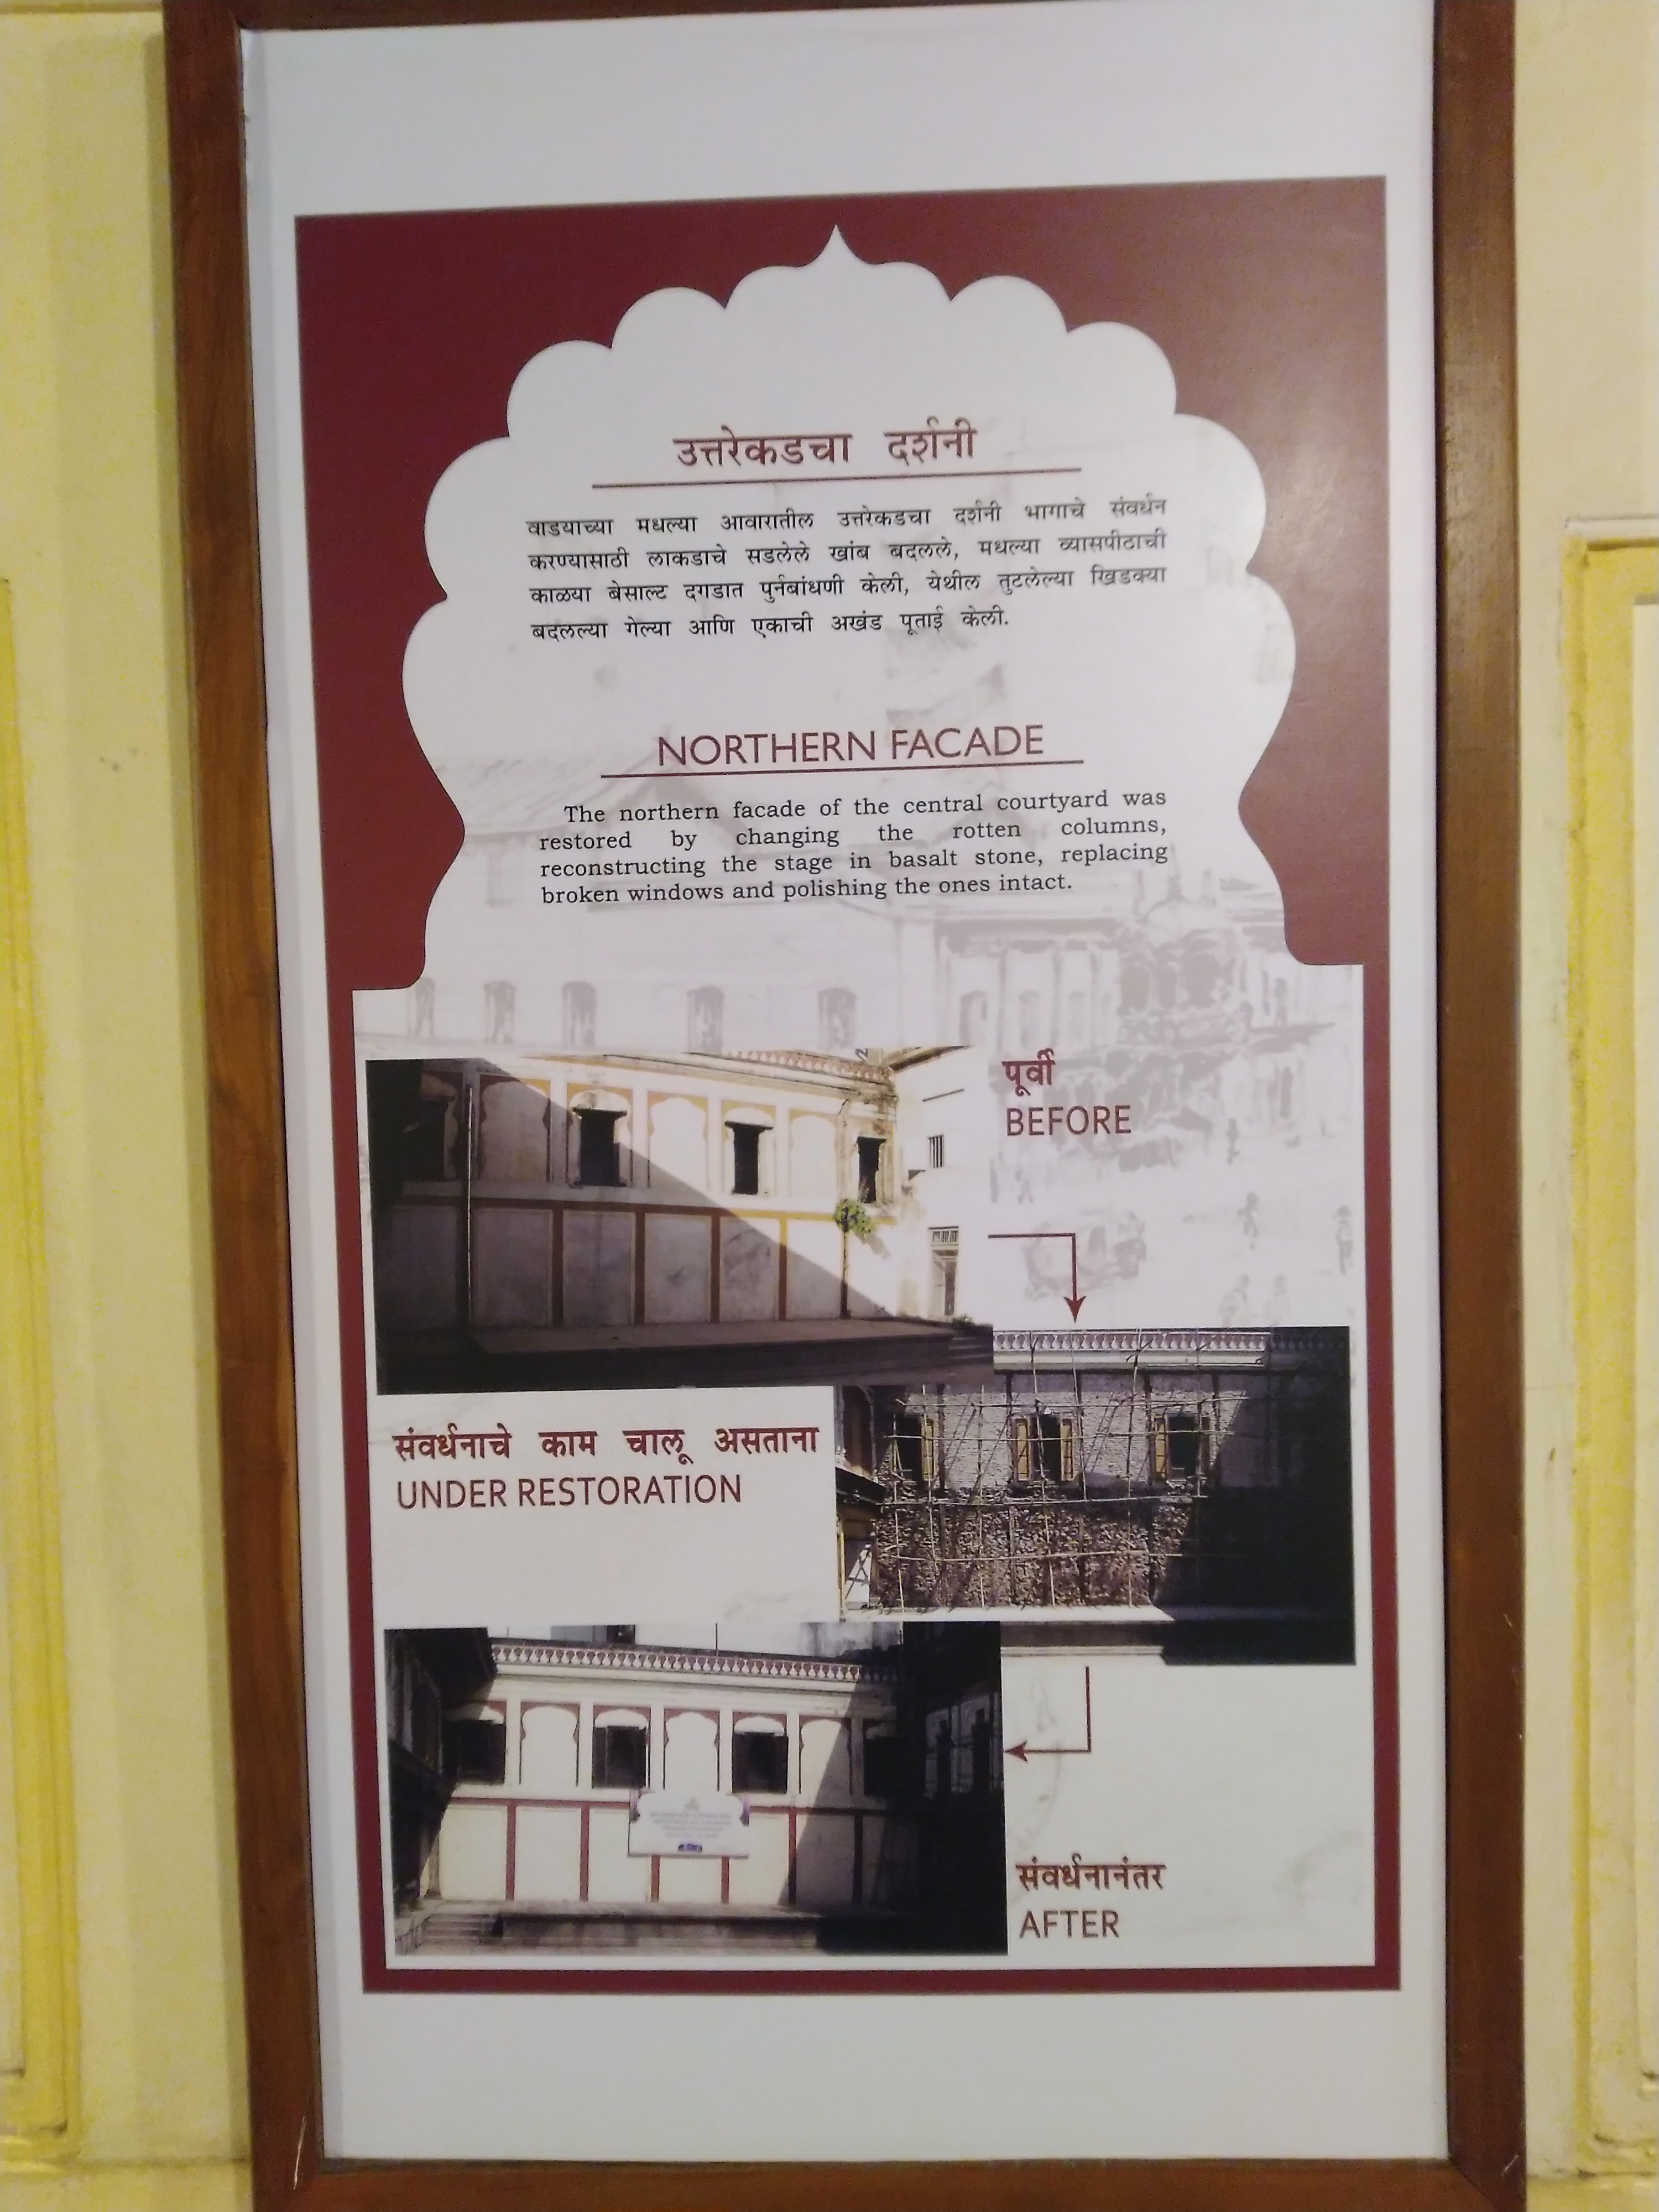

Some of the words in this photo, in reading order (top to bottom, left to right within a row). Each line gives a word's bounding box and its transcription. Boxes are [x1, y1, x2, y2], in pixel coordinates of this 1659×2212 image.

[652, 415, 862, 476] उत्तरेकडचा
[875, 409, 987, 470] दर्शनी
[520, 514, 619, 541] वाडयाच्या
[524, 543, 639, 574] करण्यासाठी
[634, 516, 703, 535] मधल्या
[641, 541, 732, 571] लाकडाचे
[713, 502, 820, 537] आवारातील
[739, 537, 815, 569] सडलेले
[822, 536, 879, 567] खांब
[828, 500, 935, 531] उत्तरेकडचा
[884, 530, 966, 565] बदलले,
[948, 498, 1008, 529] दर्शनी
[972, 535, 1046, 562] मधल्या
[1021, 491, 1091, 524] भागाचे
[1052, 525, 1173, 558] व्यासपीठाची
[1102, 485, 1174, 523] संवर्धन
[525, 584, 596, 608] काळया
[600, 577, 674, 605] बेसाल्ट
[678, 577, 750, 604] दगडात
[755, 572, 850, 607] पुर्नबांधणी
[855, 566, 912, 599] केली,
[921, 564, 988, 596] येथील
[991, 561, 1082, 602] तुटलेल्या
[1086, 559, 1175, 592] खिडक्या
[524, 619, 614, 642] बदलल्या
[618, 609, 675, 643] गेल्या
[686, 610, 738, 638] आणि
[747, 609, 820, 640] एकाची
[825, 606, 889, 637] अखंड
[895, 598, 951, 639] पूताई
[955, 600, 1014, 634] केली.
[649, 722, 886, 770] NORTHERN
[885, 717, 1050, 765] FACADE
[553, 797, 610, 826] The
[534, 827, 641, 860] restored
[536, 852, 712, 880] reconstructing
[614, 799, 723, 827] northern
[663, 825, 701, 852] by
[717, 852, 764, 876] the
[728, 792, 810, 824] facade
[734, 824, 844, 852] changing
[770, 853, 837, 878] stage
[817, 795, 848, 821] of
[843, 849, 877, 872] in
[847, 791, 894, 821] the
[872, 820, 919, 844] the
[884, 844, 962, 873] basalt
[900, 789, 986, 818] central
[947, 819, 1026, 841] rotten
[972, 842, 1049, 872] 8101101
[993, 786, 1112, 816] courtyard
[1057, 810, 1170, 840] columns,
[1055, 837, 1175, 872] replacing
[1115, 786, 1171, 812] was
[538, 883, 625, 905] broken
[624, 880, 731, 904] windows
[728, 878, 779, 905] and
[779, 874, 893, 909] polishing
[892, 873, 933, 898] the
[933, 873, 992, 896] ones
[993, 870, 1075, 898] intact.
[995, 1044, 1060, 1102] पूर्वी
[1001, 1101, 1136, 1139] BEFORE
[382, 1416, 524, 1468] संवर्धनाचे
[530, 1426, 612, 1464] काम
[615, 1424, 699, 1469] चालू
[707, 1423, 834, 1459] असताना
[390, 1476, 514, 1516] UNDER
[513, 1468, 747, 1513] RESTORATION
[1006, 1850, 1173, 1898] संवर्धनानंतर
[1014, 1902, 1125, 1945] AFTER